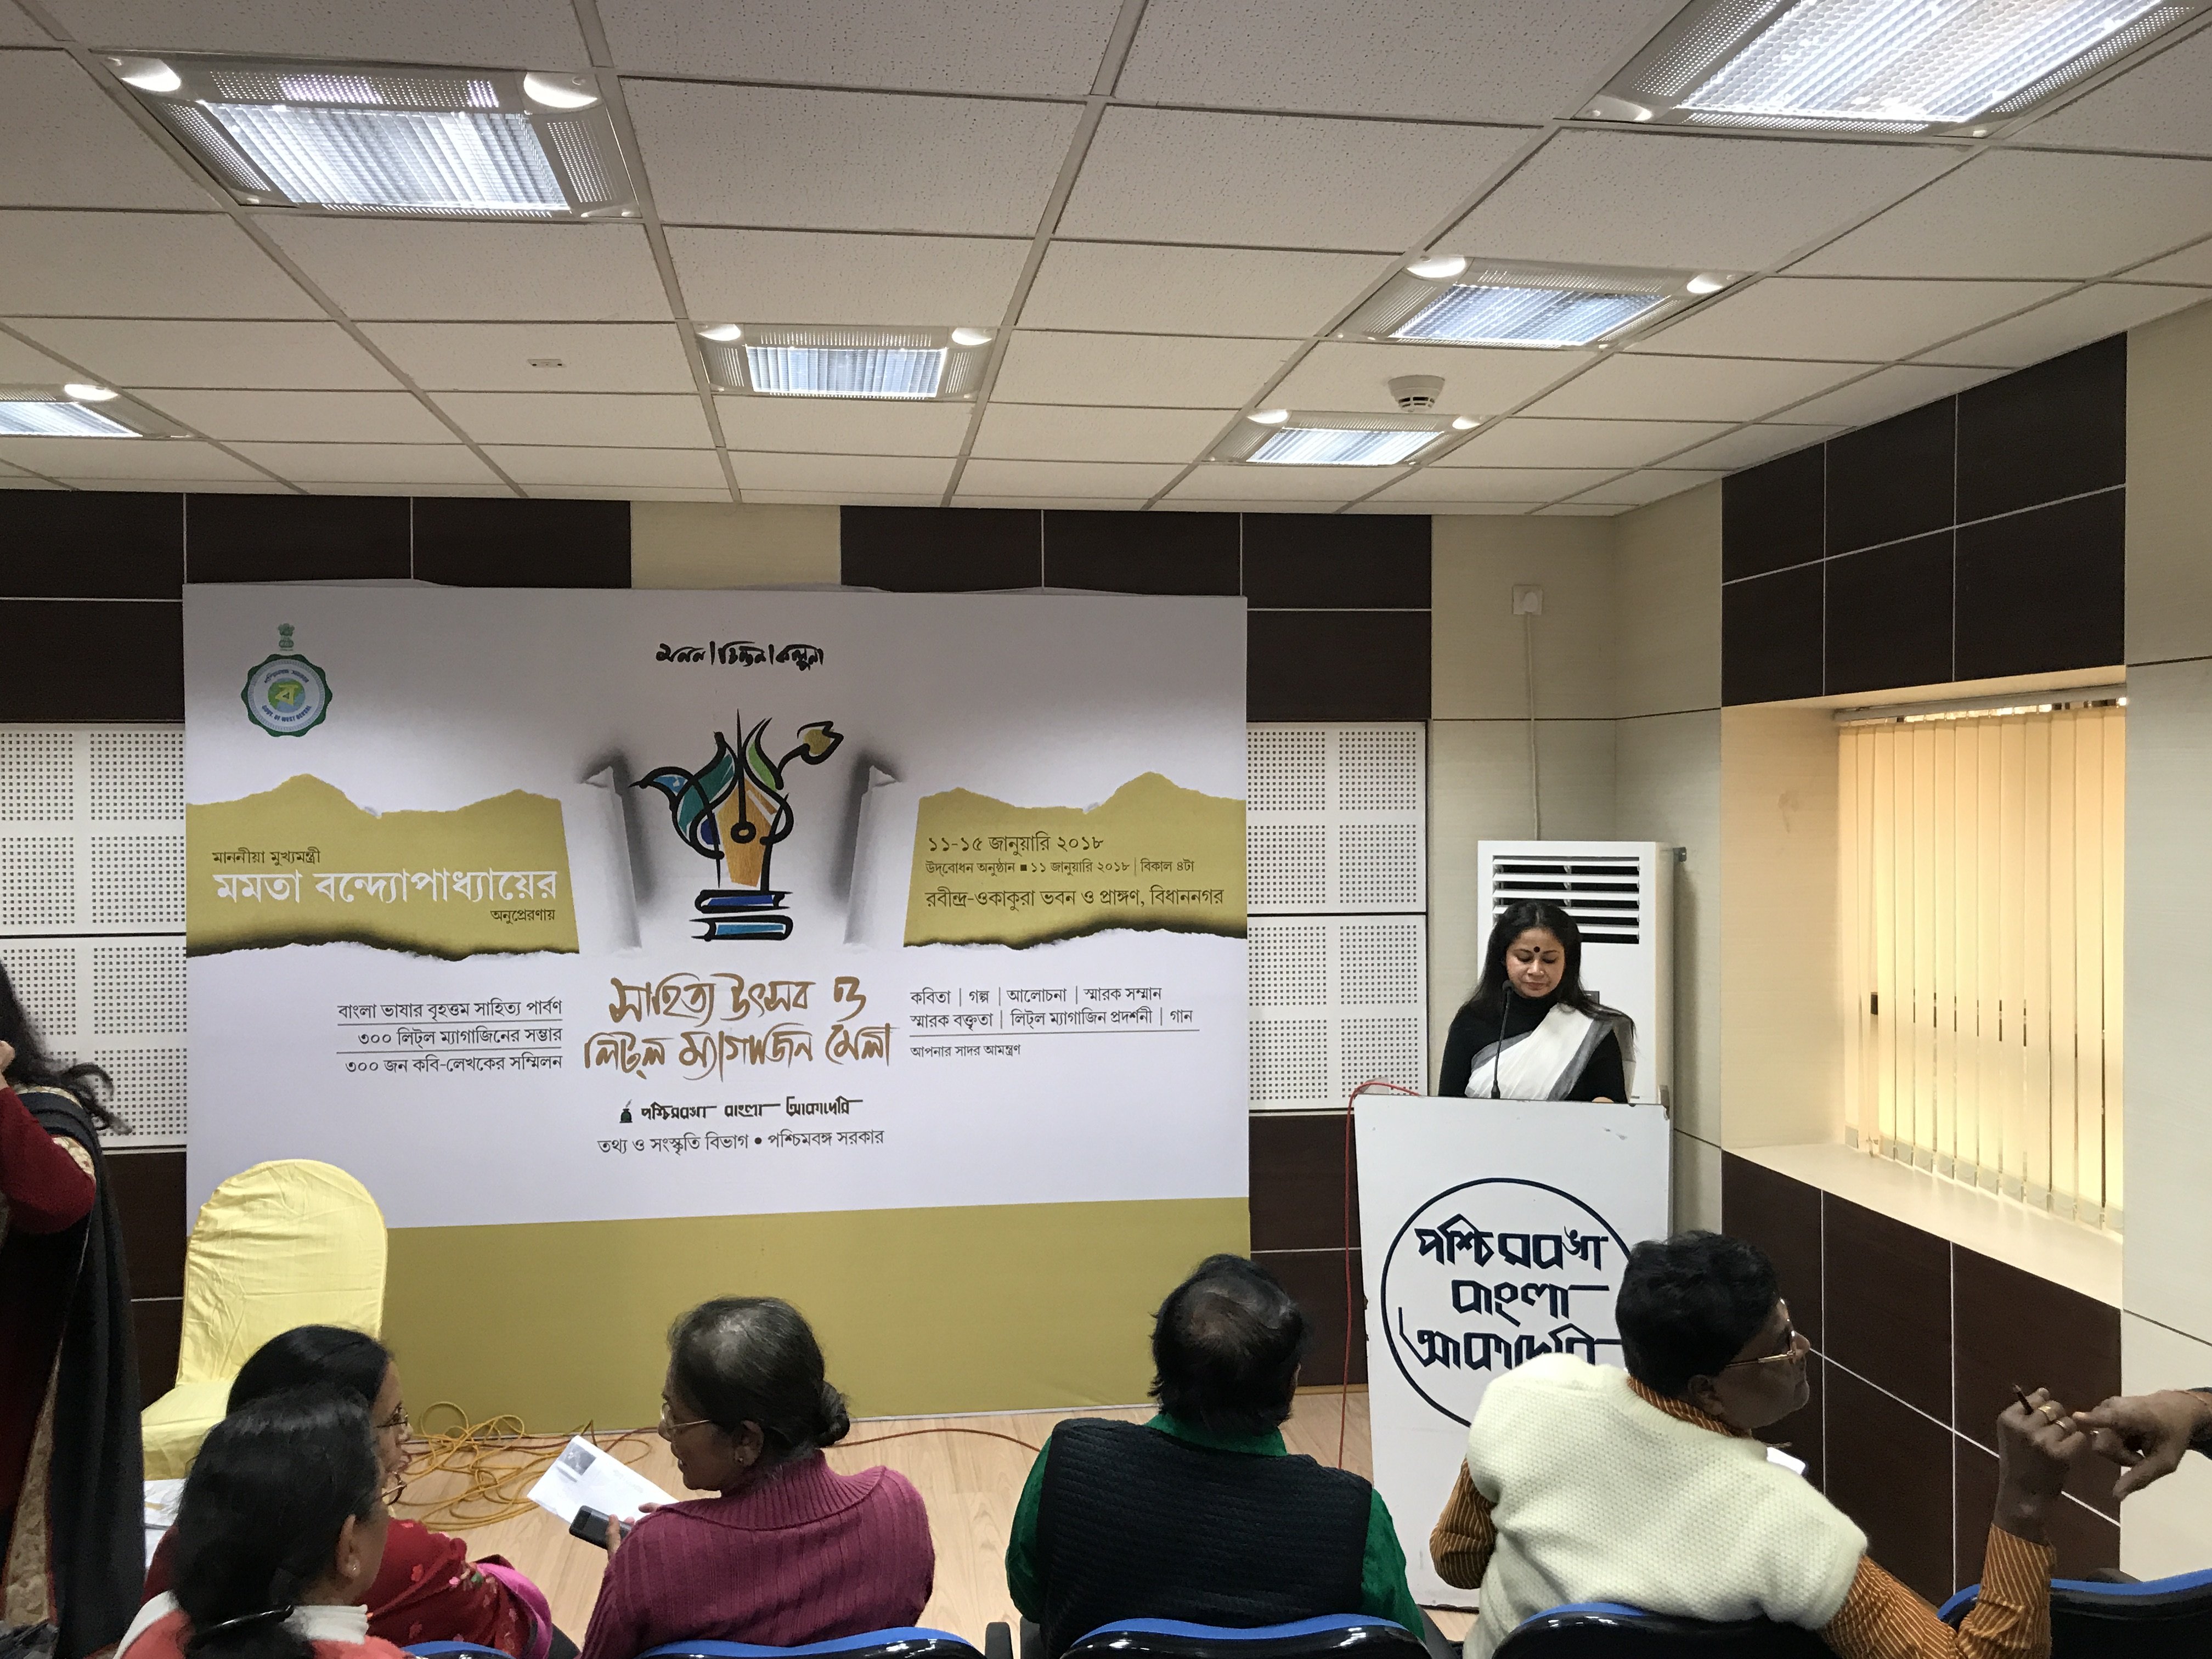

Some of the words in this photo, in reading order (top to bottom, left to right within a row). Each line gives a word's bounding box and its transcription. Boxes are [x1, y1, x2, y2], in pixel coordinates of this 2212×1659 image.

[652, 634, 828, 675] মনন।চিন্তন।কল্পনা
[210, 843, 266, 868] মাননীয়া
[267, 841, 324, 870] মুখ্যমন্ত্রী
[922, 857, 976, 878] উদবোধন
[975, 855, 1018, 879] অনুষ্ঠান
[983, 827, 1054, 861] জানুয়ারি
[1046, 854, 1097, 879] জানুয়ারি
[1056, 829, 1108, 854] ২০১৮
[1093, 859, 1130, 876] ২০১৮
[1136, 851, 1177, 873] বিকাল
[1175, 854, 1197, 874] ৪টা
[210, 871, 307, 904] মমতা
[312, 867, 559, 906] বন্দ্যোপাধ্যায়ের
[922, 881, 972, 911] রবীন্দ্র-
[974, 883, 1037, 915] ওকাকুরা
[1037, 888, 1078, 909] ভবন
[1076, 886, 1098, 907] ও
[1097, 885, 1142, 907] প্রাঙ্গণ
[1143, 876, 1227, 907] বিধাননগর
[489, 906, 559, 929] অনুপ্রেরণায়
[335, 1001, 379, 1024] বাংলা
[378, 996, 425, 1020] ভাষার
[427, 1000, 471, 1023] বৃহত্তম
[473, 994, 525, 1019] সাহিত্য
[526, 994, 564, 1018] পার্বণ
[607, 970, 719, 1030] সাহিত্য
[710, 968, 821, 1026] উৎসব
[827, 972, 870, 1023] ও
[905, 984, 952, 1010] কবিতা
[909, 1013, 950, 1028] স্মারক
[949, 1010, 996, 1032] বক্তৃত৷
[959, 985, 990, 1010] গল্প
[1006, 1004, 1048, 1031] লিট্ল
[1006, 983, 1068, 1008] আলোচনা
[1046, 1004, 1109, 1029] ম্যাগাজিন
[1082, 983, 1124, 1004] স্মারক
[1109, 1002, 1154, 1025] প্রদর্শনী
[1124, 984, 1164, 1004] সম্মান
[1166, 1001, 1197, 1029] গান
[344, 1055, 382, 1075] ৩০০
[354, 1032, 396, 1047] ৩০০
[380, 1055, 412, 1075] জন
[391, 1020, 438, 1052] লিট্ল
[411, 1051, 443, 1075] কবি-
[445, 1049, 508, 1076] লেখকের
[437, 1020, 524, 1048] ম্যাগাজিনের
[507, 1047, 565, 1071] সম্মিলন
[522, 1023, 566, 1047] সম্ভার
[582, 1028, 673, 1084] লিট্ল
[673, 1019, 816, 1082] ম্যাগাজিন
[819, 1010, 899, 1069] মেলা
[910, 1041, 955, 1060] আপনার
[953, 1042, 983, 1056] সাদর
[978, 1042, 1022, 1057] আমন্ত্রণ
[637, 1098, 716, 1122] পশ্চিরবসা
[718, 1096, 774, 1125] বাংলা
[778, 1091, 863, 1122] আকাদেরি
[594, 1133, 630, 1159] তথ্য
[630, 1136, 648, 1155] ত্ত
[650, 1128, 704, 1159] সংস্কৃতি
[696, 1127, 754, 1156] বিভাগ
[766, 1125, 835, 1150] পশ্চিমবঙ্গ
[834, 1125, 888, 1149] সরকার
[1415, 1207, 1611, 1273] পশ্চিমএসা
[1448, 1275, 1612, 1331] বাংলা
[1398, 1302, 1620, 1376] আকাদেরি